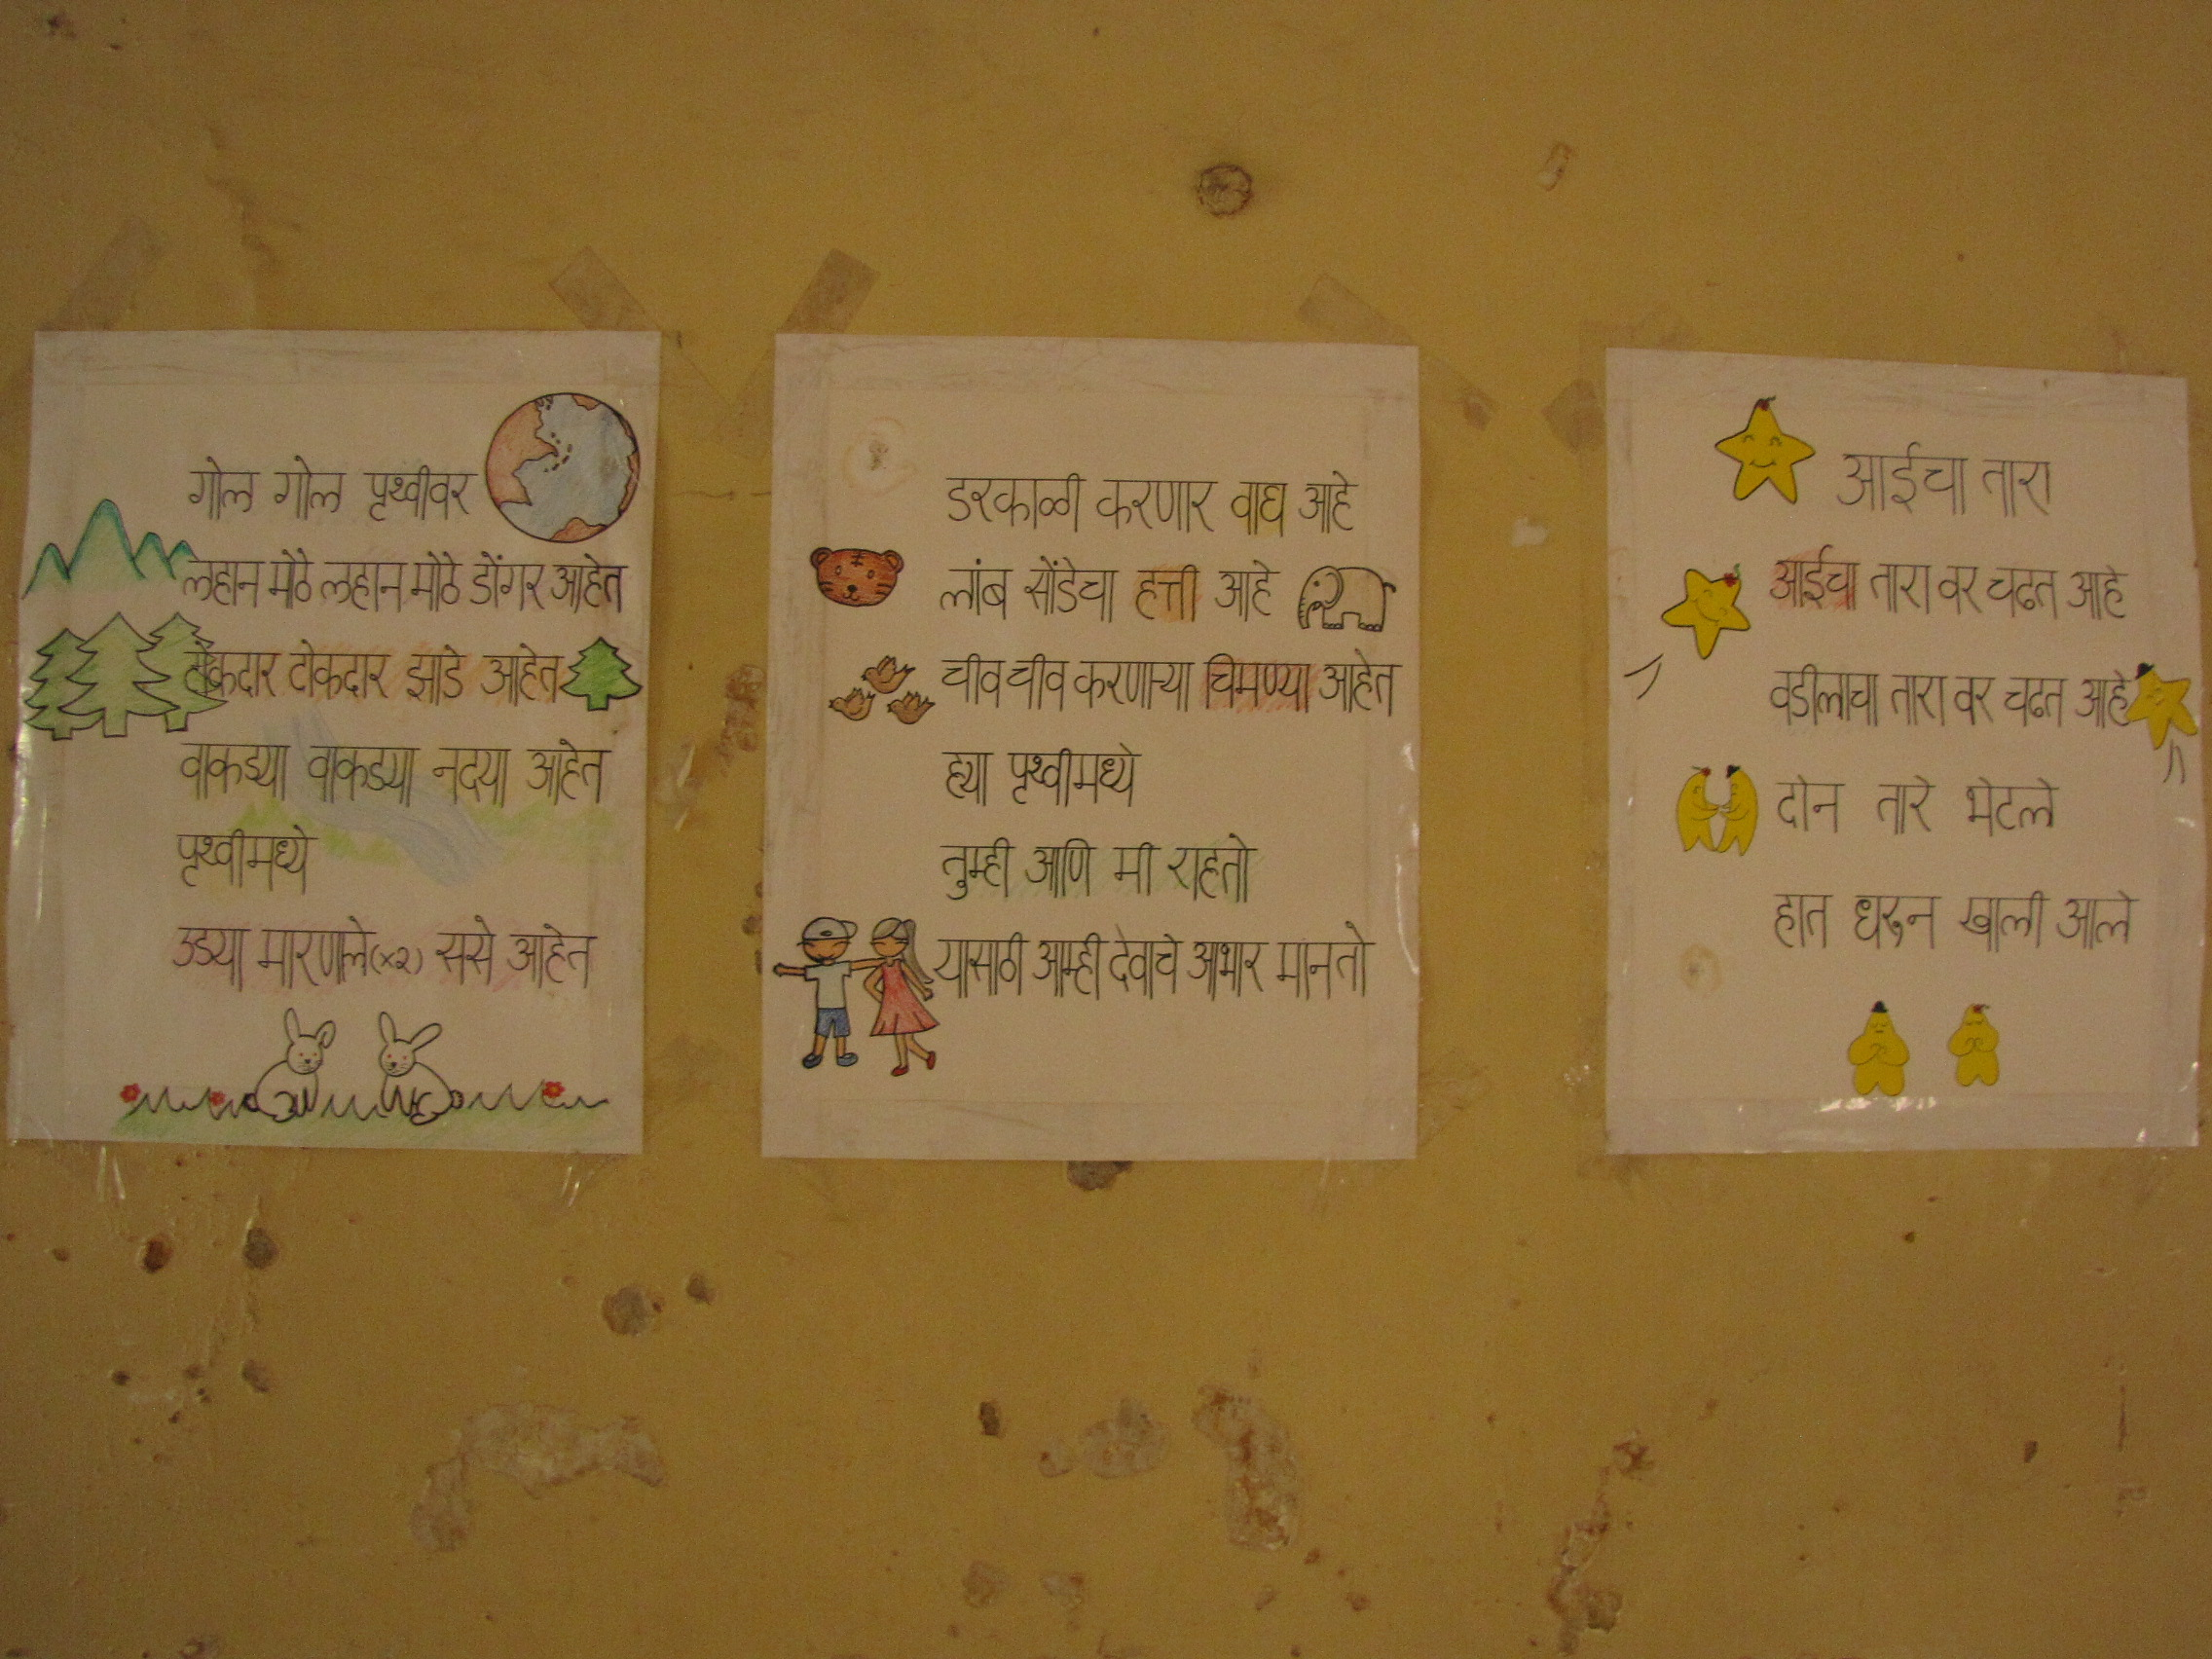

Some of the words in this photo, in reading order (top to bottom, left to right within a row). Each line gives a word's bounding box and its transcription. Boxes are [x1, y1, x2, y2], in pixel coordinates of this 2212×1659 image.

[181, 448, 268, 527] गोल
[272, 453, 350, 523] गोल
[360, 461, 482, 535] पृथ्वीवर
[938, 463, 1091, 539] डरकाळी
[1089, 470, 1222, 538] करणार
[1224, 471, 1293, 543] वाघ
[1296, 461, 1365, 540] आहे
[1826, 436, 1975, 526] आईचा
[1977, 455, 2062, 535] तारा
[177, 554, 268, 613] लहान
[260, 543, 316, 618] मोठे
[320, 554, 410, 616] लहान
[406, 546, 469, 618] मोठे
[469, 546, 552, 620] डोंगर
[548, 544, 636, 622] आहेत
[930, 555, 1014, 622] लांब
[1019, 550, 1124, 627] सोंडेचा
[1122, 552, 1206, 629] हत्ती
[1206, 552, 1287, 629] आहे
[1764, 541, 1864, 622] आईचा
[1862, 551, 1935, 626] तारा
[1935, 552, 1986, 626] वर
[1979, 551, 2061, 632] चढत
[2060, 559, 2136, 629] आहे
[281, 634, 394, 710] टोकदार
[394, 638, 470, 713] झाडे
[475, 638, 571, 714] आहेत
[933, 645, 1010, 718] चीव
[1004, 645, 1073, 719] चीव
[1068, 647, 1198, 721] करणाऱ्या
[1199, 647, 1317, 719] चिमण्या
[1313, 644, 1410, 721] आहेत
[1763, 658, 1886, 733] वडीलाचा
[1884, 668, 1952, 732] तारा
[1950, 666, 2000, 734] वर
[1997, 669, 2075, 735] चढत
[2071, 660, 2135, 732] आहे
[165, 734, 296, 807] वाकड्या
[302, 731, 427, 817] वाकड्या
[430, 739, 517, 814] नदया
[520, 732, 617, 818] आहेत
[932, 742, 999, 811] ह्या
[999, 737, 1148, 814] पृथ्वीमध्ये
[1764, 764, 1856, 843] दोन
[1864, 764, 1946, 848] तारे
[1956, 767, 2067, 844] भेटले
[156, 813, 327, 904] पृथ्वीमध्ये
[932, 831, 1016, 903] तुम्ही
[1021, 832, 1105, 903] आणि
[1106, 832, 1164, 902] मी
[1163, 825, 1267, 913] राहतो
[158, 916, 256, 998] उड्या
[252, 908, 385, 995] मारणाले
[369, 940, 427, 984] (x2)
[431, 909, 503, 995] ससे
[504, 917, 604, 1002] आहेत
[928, 925, 1033, 1008] यासाठी
[1027, 924, 1111, 1006] आम्ही
[1105, 919, 1187, 1009] देवाचे
[1184, 933, 1275, 1010] आभार
[1271, 916, 1381, 1004] मानतो
[1762, 883, 1841, 961] हात
[1844, 884, 1948, 955] धरून
[1954, 881, 2052, 962] खाली
[2051, 883, 2147, 959] आले